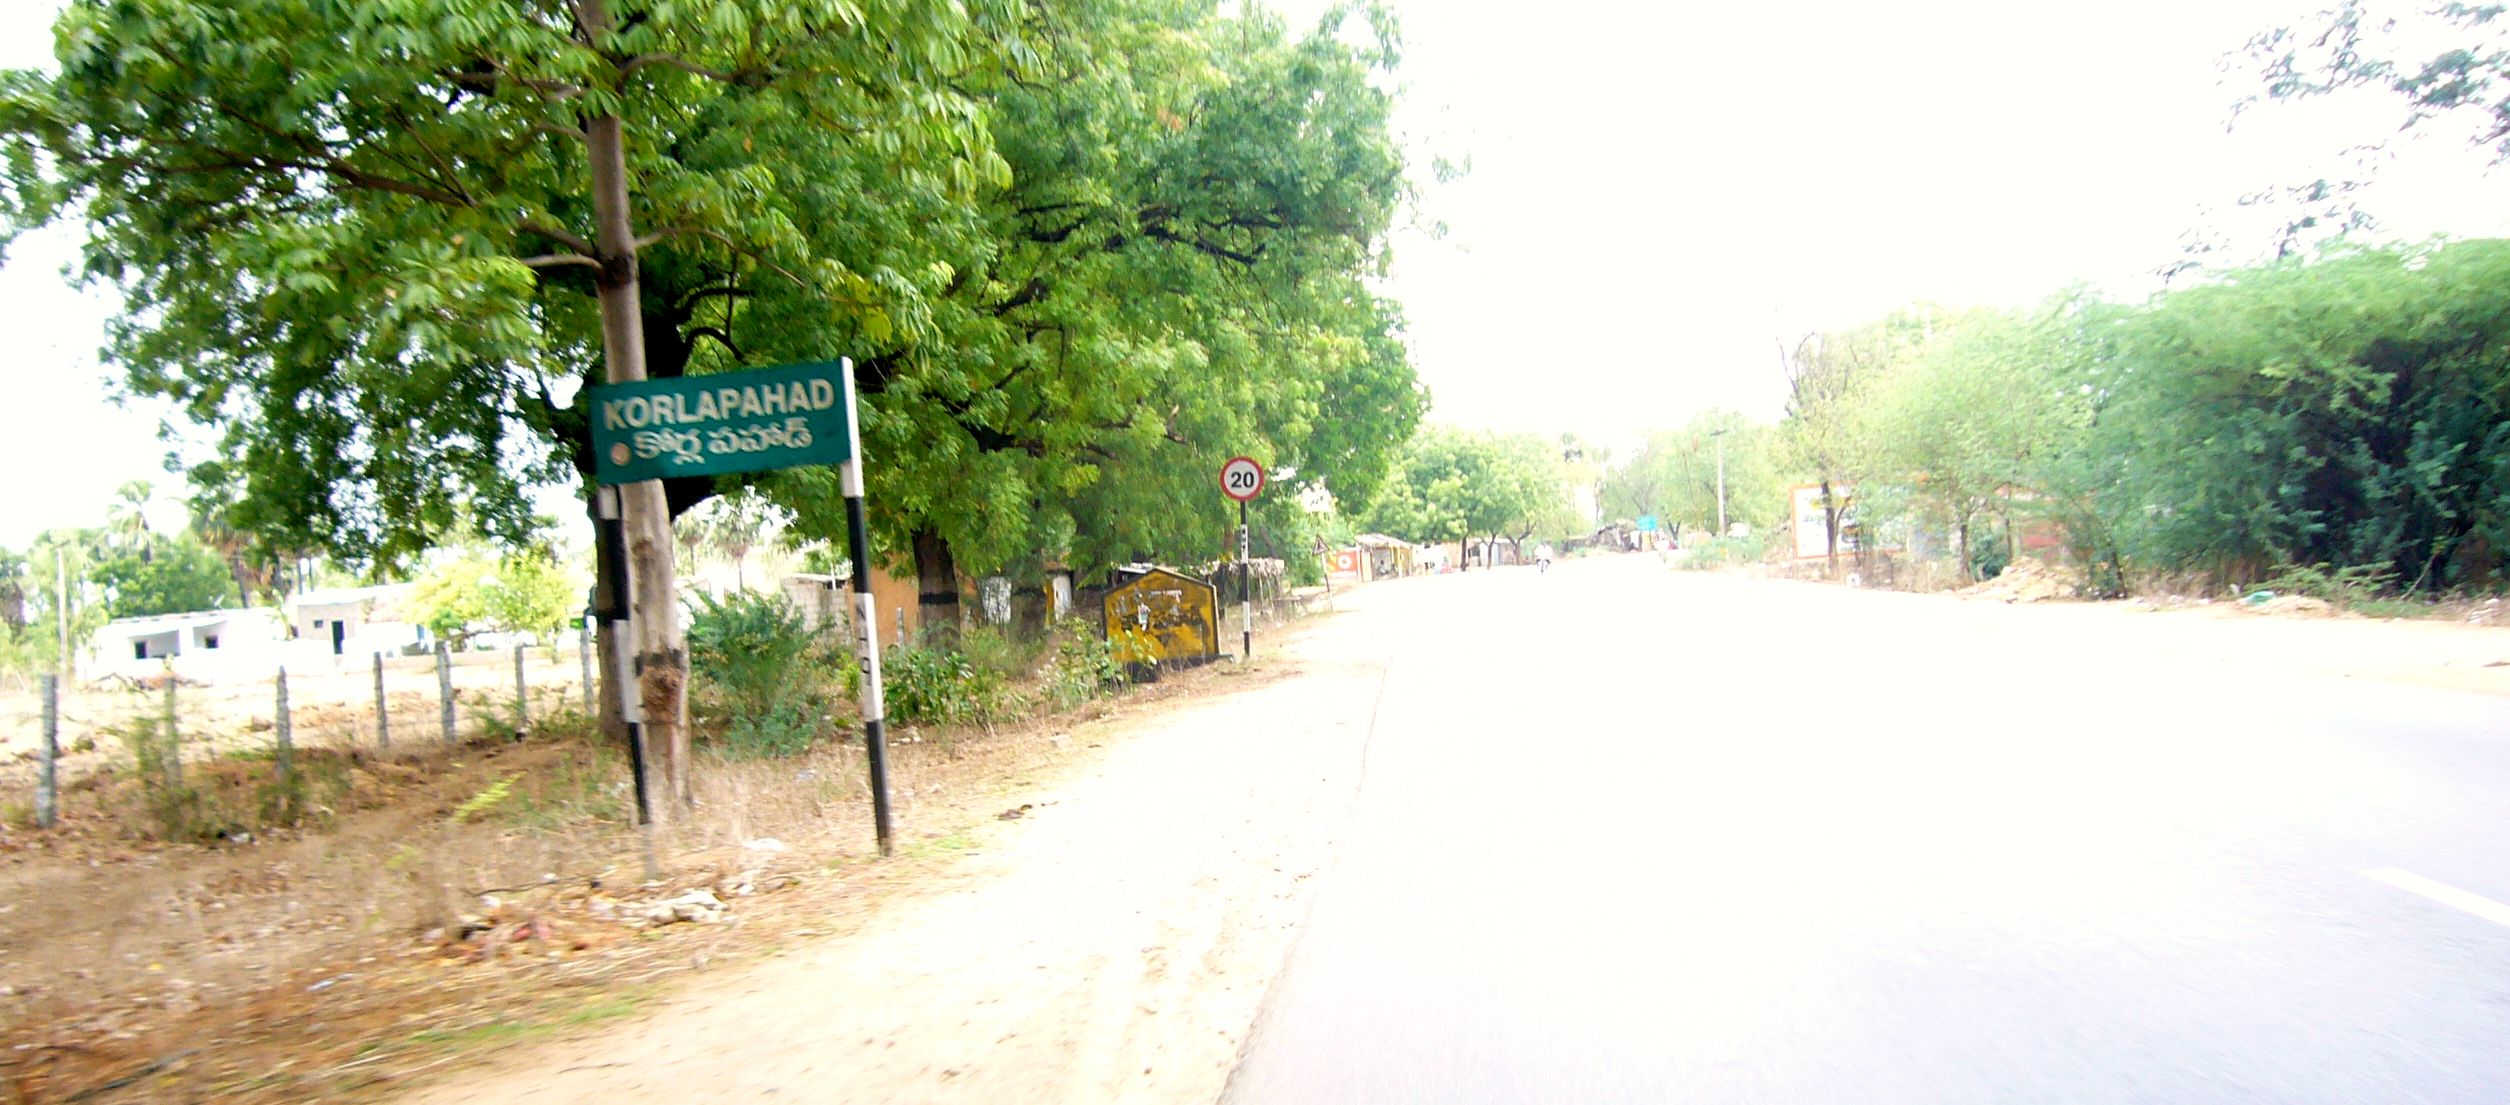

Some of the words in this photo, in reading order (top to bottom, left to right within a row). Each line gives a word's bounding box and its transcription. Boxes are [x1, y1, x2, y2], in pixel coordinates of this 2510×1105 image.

[597, 374, 841, 435] KORLAPAHAD
[625, 422, 709, 470] కోర్ల
[699, 412, 817, 464] పహాడ్